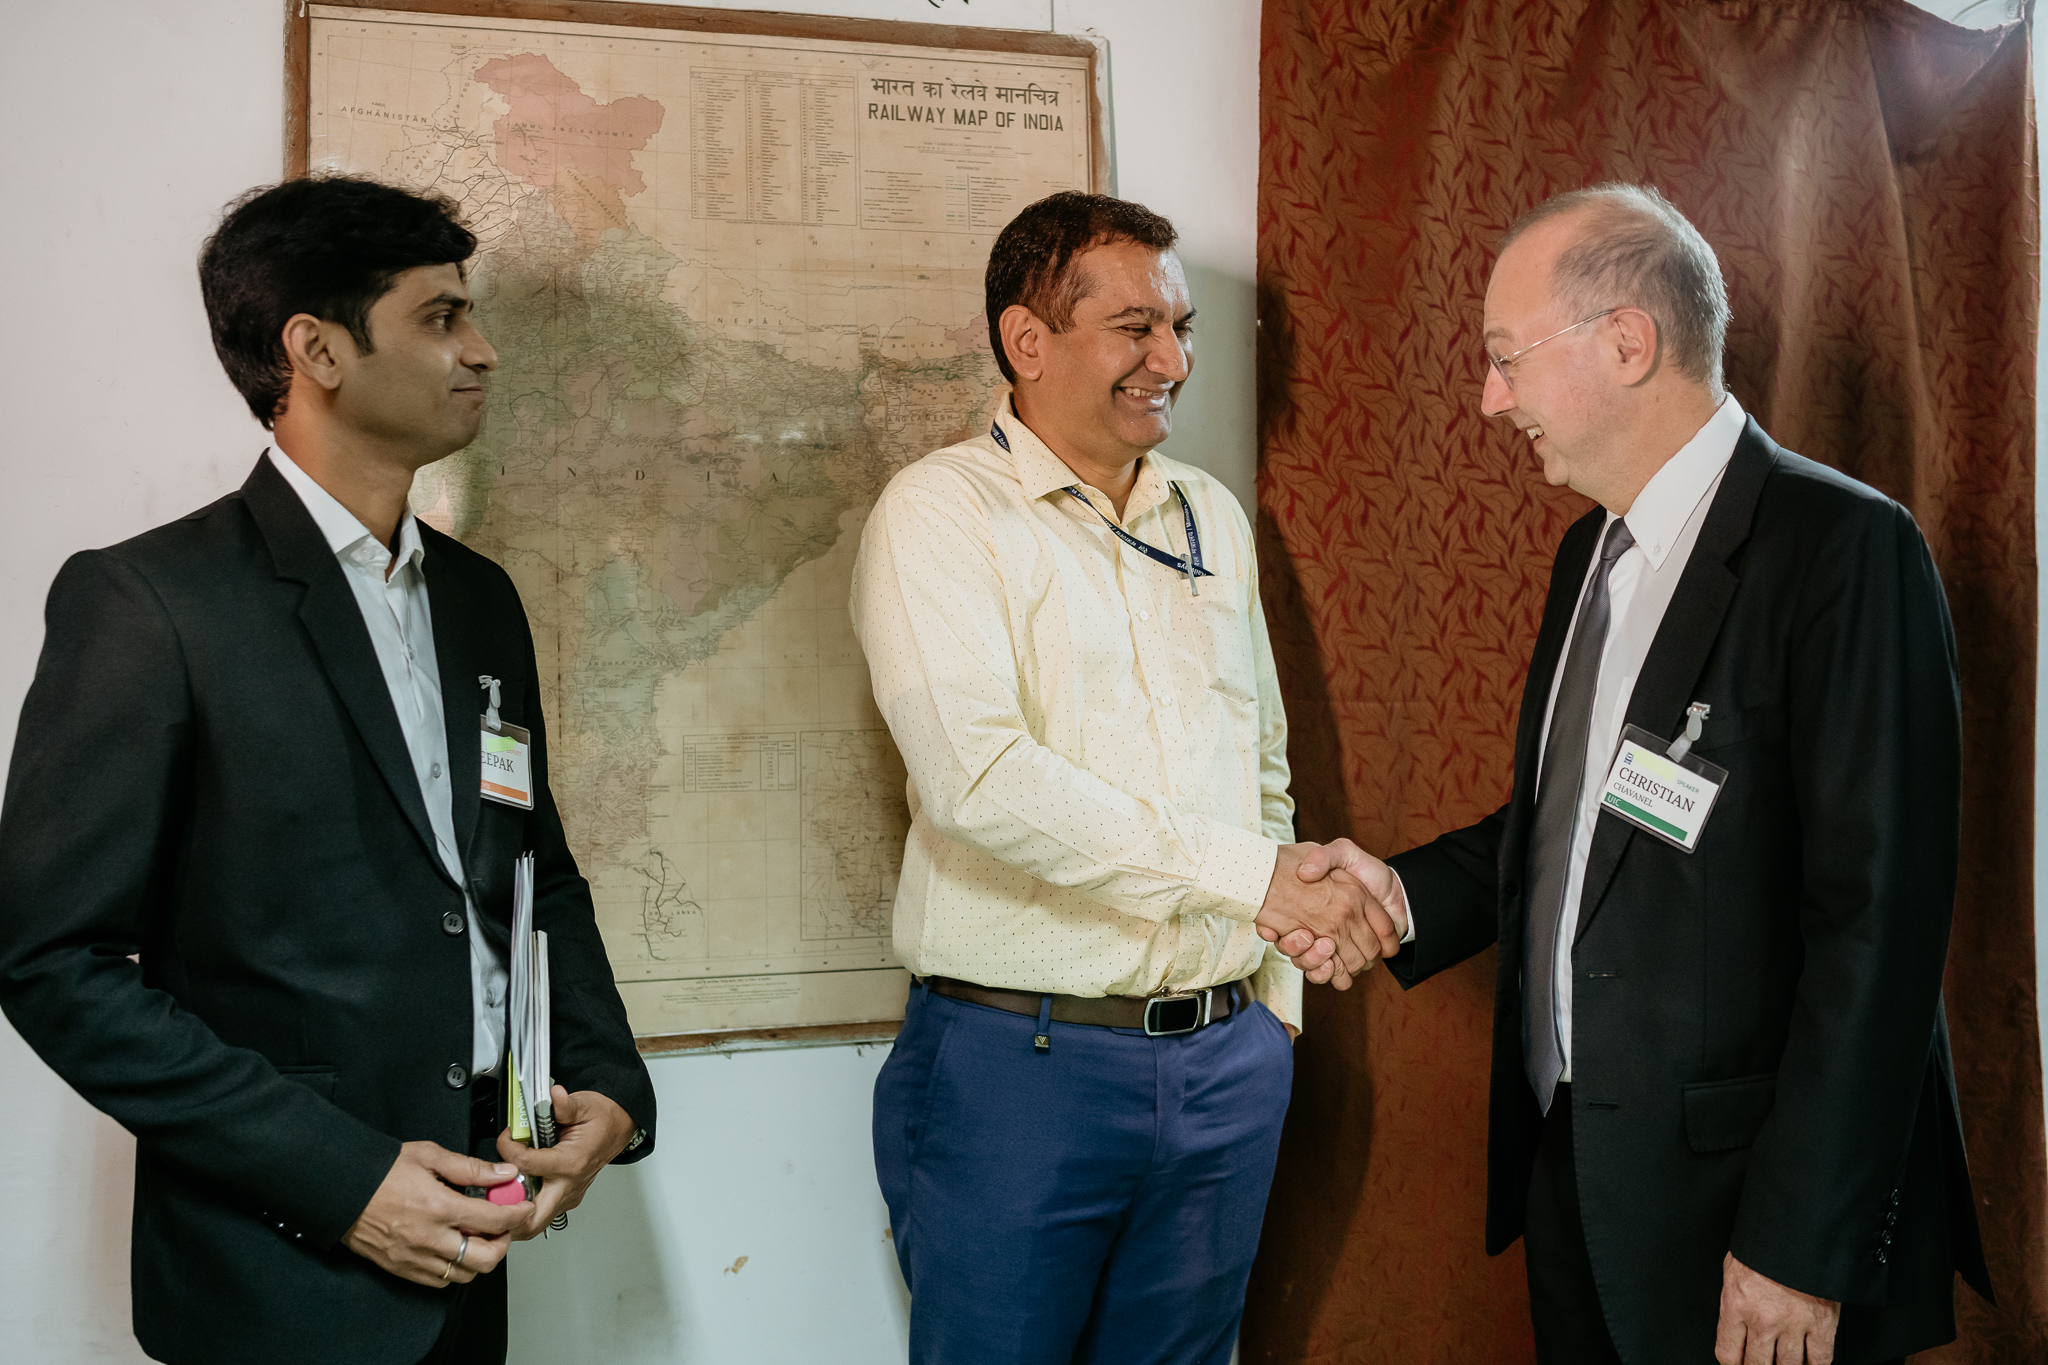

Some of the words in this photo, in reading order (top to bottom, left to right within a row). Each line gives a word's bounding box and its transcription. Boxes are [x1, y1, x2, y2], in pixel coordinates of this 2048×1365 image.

[867, 75, 917, 99] भारत
[921, 78, 946, 101] का
[947, 77, 989, 105] रेलवे
[995, 79, 1061, 109] मानचित्र
[867, 101, 947, 128] RAILWAY
[952, 105, 990, 127] MAP
[992, 107, 1017, 131] OF
[1019, 111, 1067, 133] INDIA
[1611, 777, 1656, 811] CHAVANEL
[1615, 760, 1698, 816] CHRISTIAN